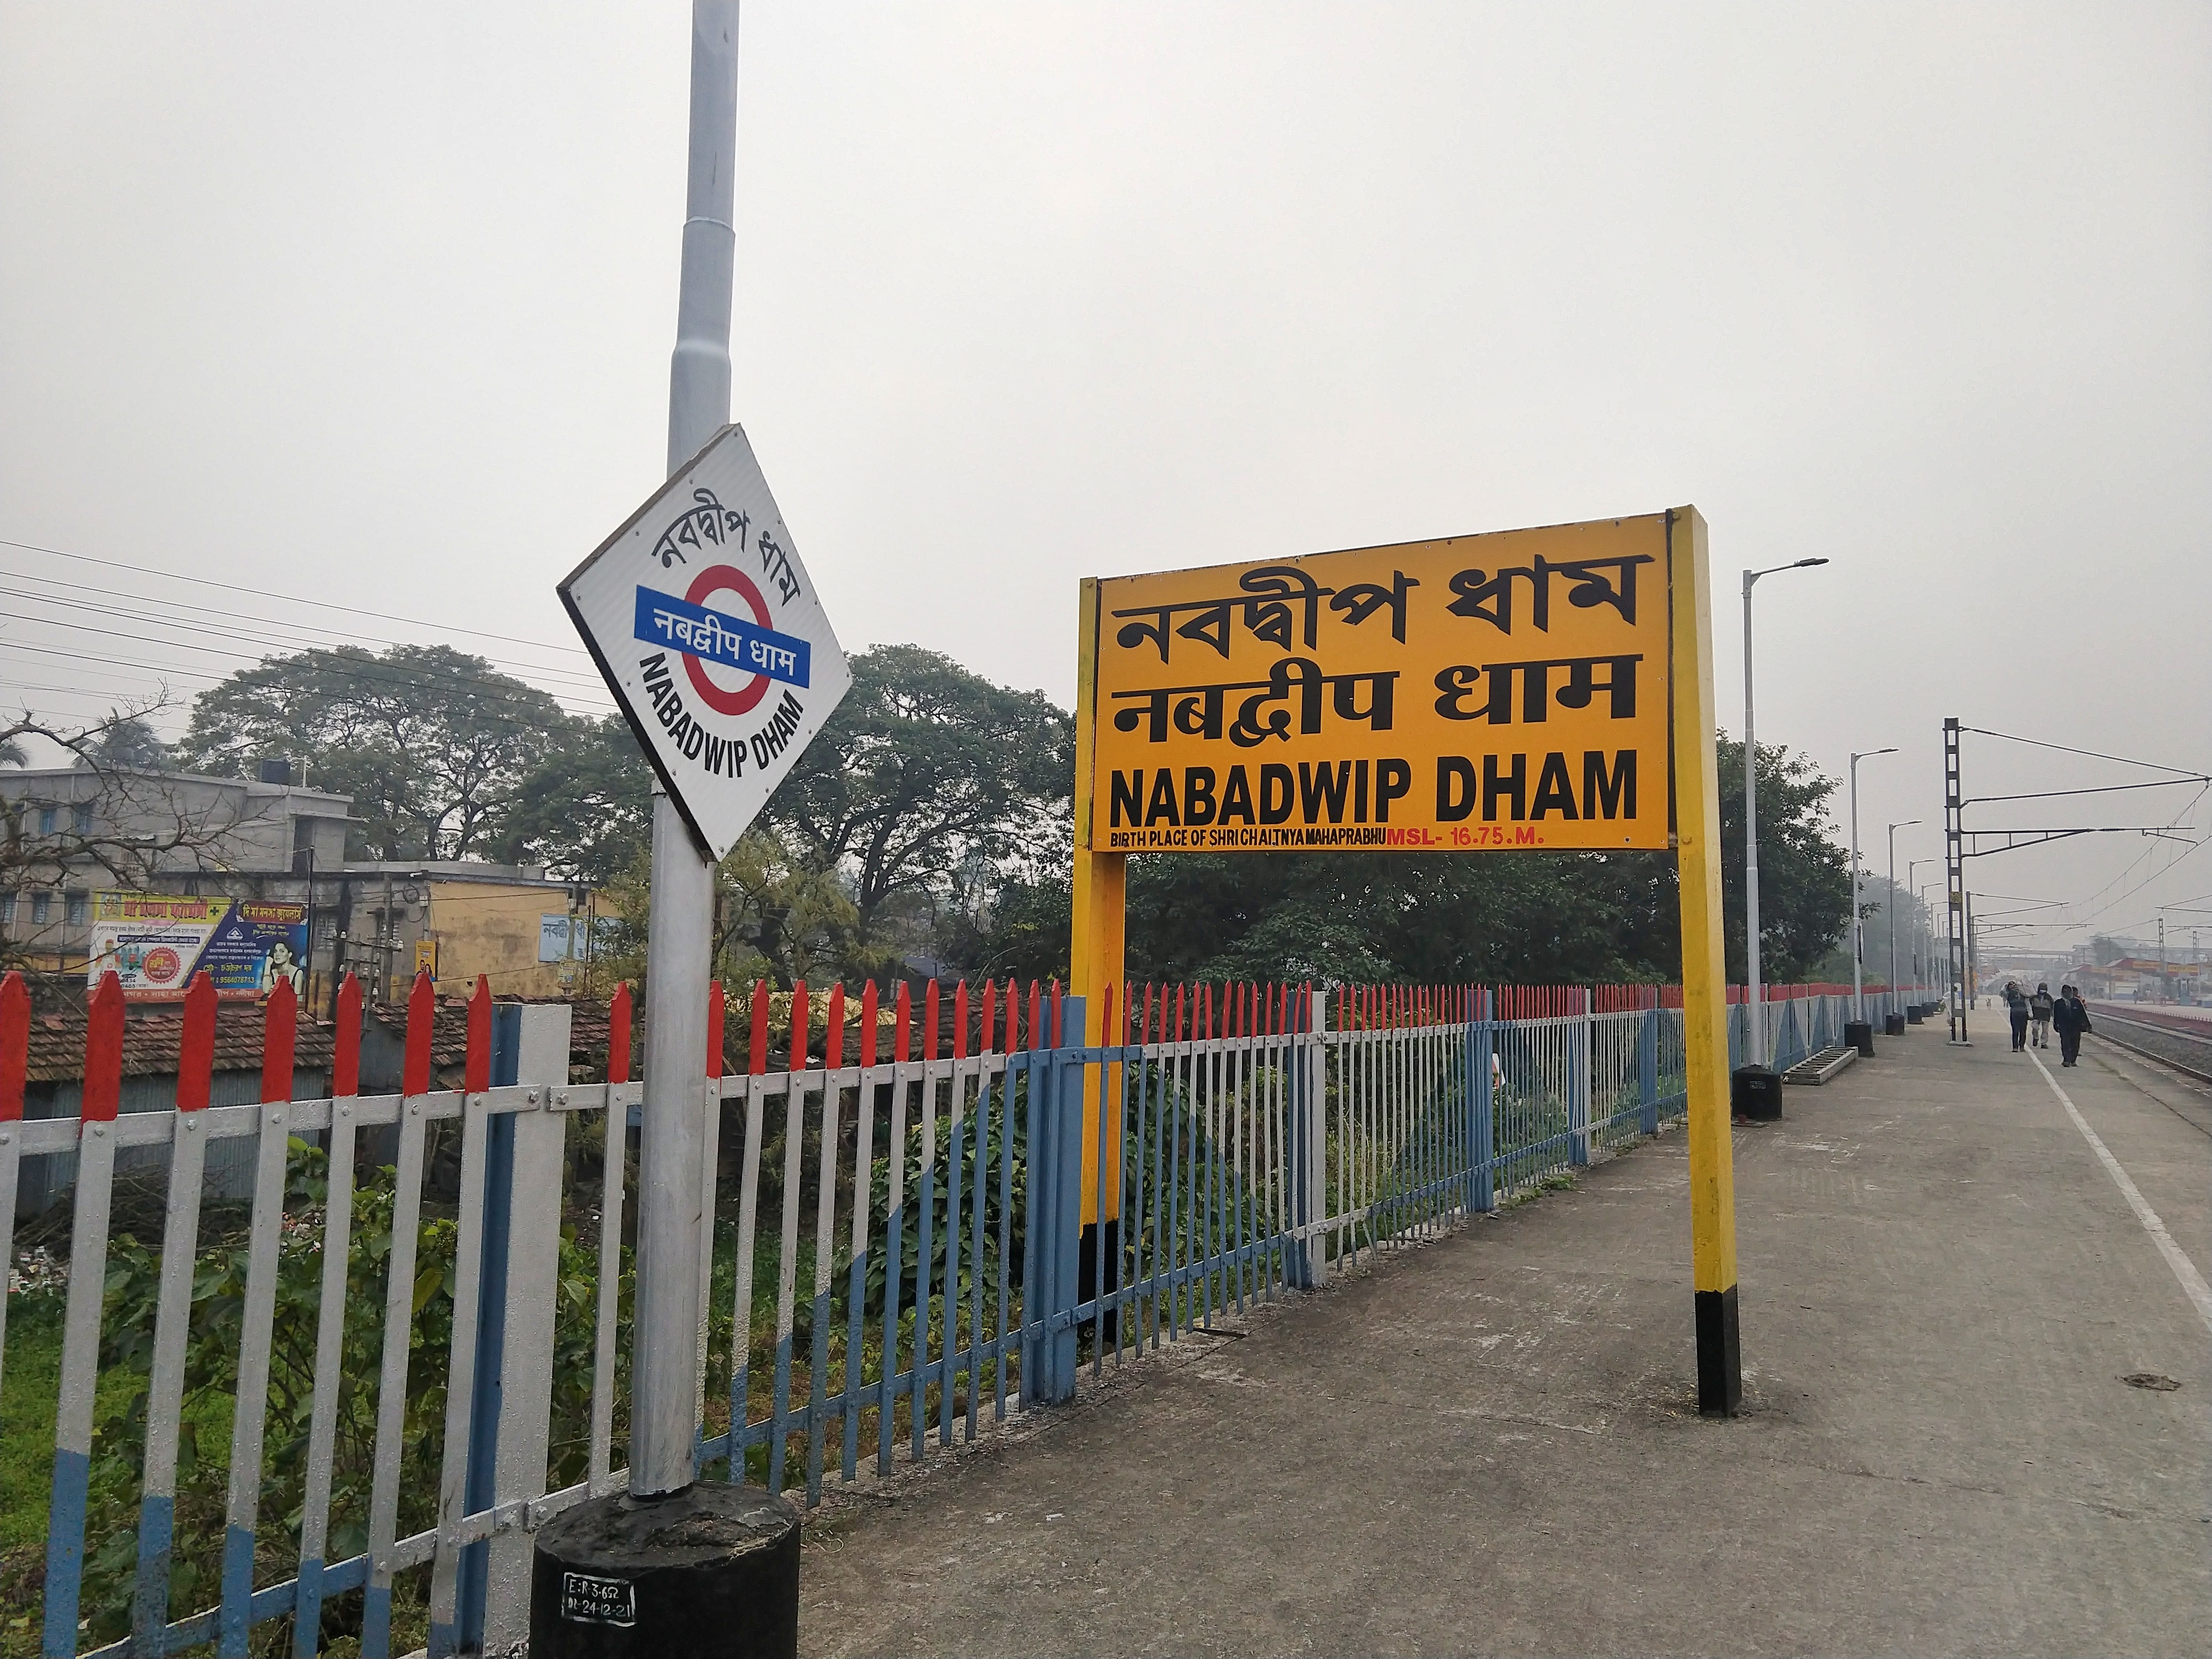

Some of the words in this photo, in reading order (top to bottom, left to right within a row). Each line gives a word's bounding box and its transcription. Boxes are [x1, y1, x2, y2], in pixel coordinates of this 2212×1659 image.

[647, 479, 755, 576] নবদ্বীপ
[751, 525, 807, 611] ধাম
[1445, 545, 1648, 638] ধাম
[1108, 556, 1425, 667] নবদ্বীপ
[650, 603, 745, 663] नबद्वीप
[748, 635, 799, 679] धाम
[633, 650, 749, 780] NABADWIP
[747, 684, 808, 772] DHAM
[1107, 650, 1400, 754] नबद्वीप
[1431, 651, 1646, 731] धाम
[1107, 754, 1415, 830] NABADWIP
[1430, 743, 1641, 825] DHAM
[1104, 823, 1150, 851] BIRTH
[1146, 823, 1191, 848] PLACE
[1187, 823, 1210, 848] OF
[1206, 823, 1241, 848] SHRI
[1236, 822, 1307, 847] CHAI.TNYA
[1297, 823, 1391, 850] MAHAPRABHU
[1383, 823, 1440, 850] MSL
[1447, 816, 1550, 852] 16.75.M.
[121, 895, 141, 920] श्री
[236, 898, 263, 921] দিমা
[256, 905, 278, 920] মনসা
[274, 905, 305, 923] জুয়েলার্স
[218, 958, 245, 977] চণ্ডীচরণ
[239, 961, 255, 974] দয়
[558, 1569, 627, 1602] E:R-3.6Ω